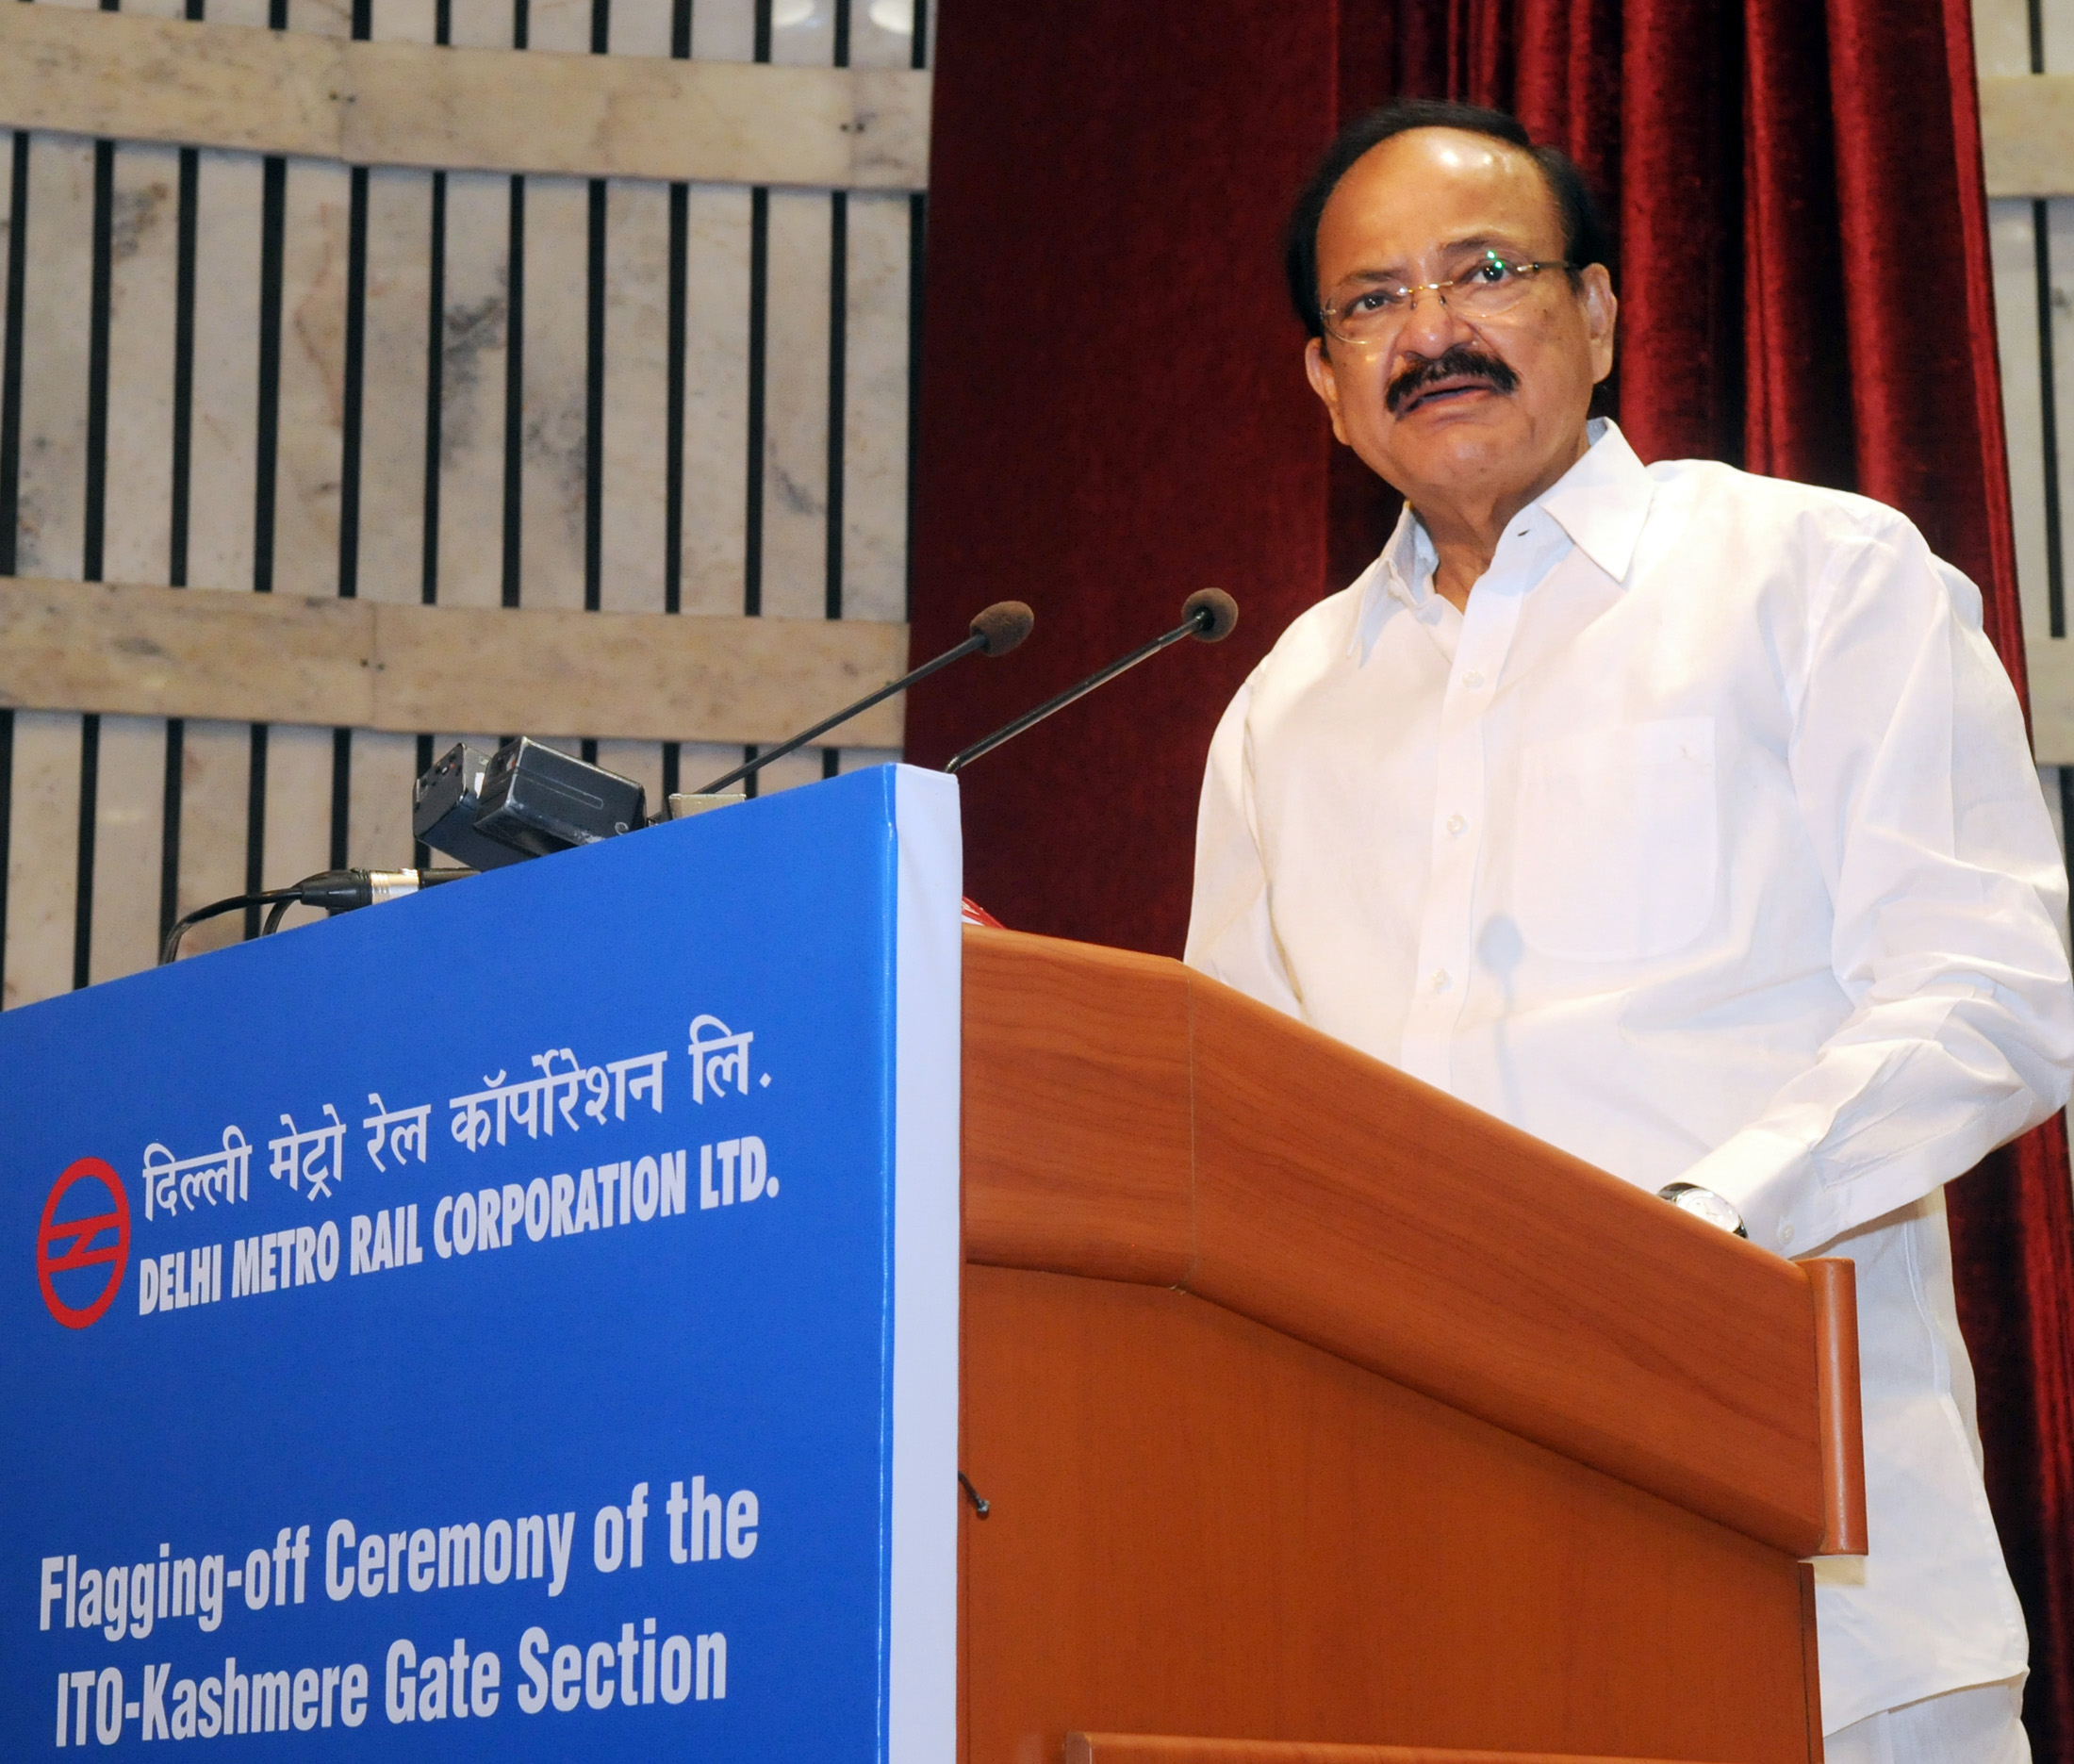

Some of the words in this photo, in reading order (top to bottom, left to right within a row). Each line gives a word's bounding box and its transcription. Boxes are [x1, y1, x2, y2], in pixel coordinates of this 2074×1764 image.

[128, 1231, 226, 1324] DELHI
[130, 1119, 257, 1228] दिल्ली
[222, 1214, 345, 1303] METRO
[247, 1096, 354, 1211] मेट्रो
[343, 1188, 434, 1290] RAIL
[354, 1088, 436, 1179] रेल
[436, 1041, 673, 1163] कॉर्पोरेशन
[424, 1137, 698, 1269] CORPORATION
[676, 1007, 771, 1113] लि.
[683, 1126, 792, 1224] LTD.
[26, 1531, 238, 1646] Flagging-
[232, 1517, 321, 1623] -off
[319, 1505, 584, 1612] Ceremony
[583, 1469, 660, 1580] of
[657, 1467, 766, 1573] the
[44, 1661, 141, 1759] ITO-
[132, 1646, 379, 1750] Kashmere
[371, 1625, 511, 1737] Gate
[500, 1610, 732, 1727] Section